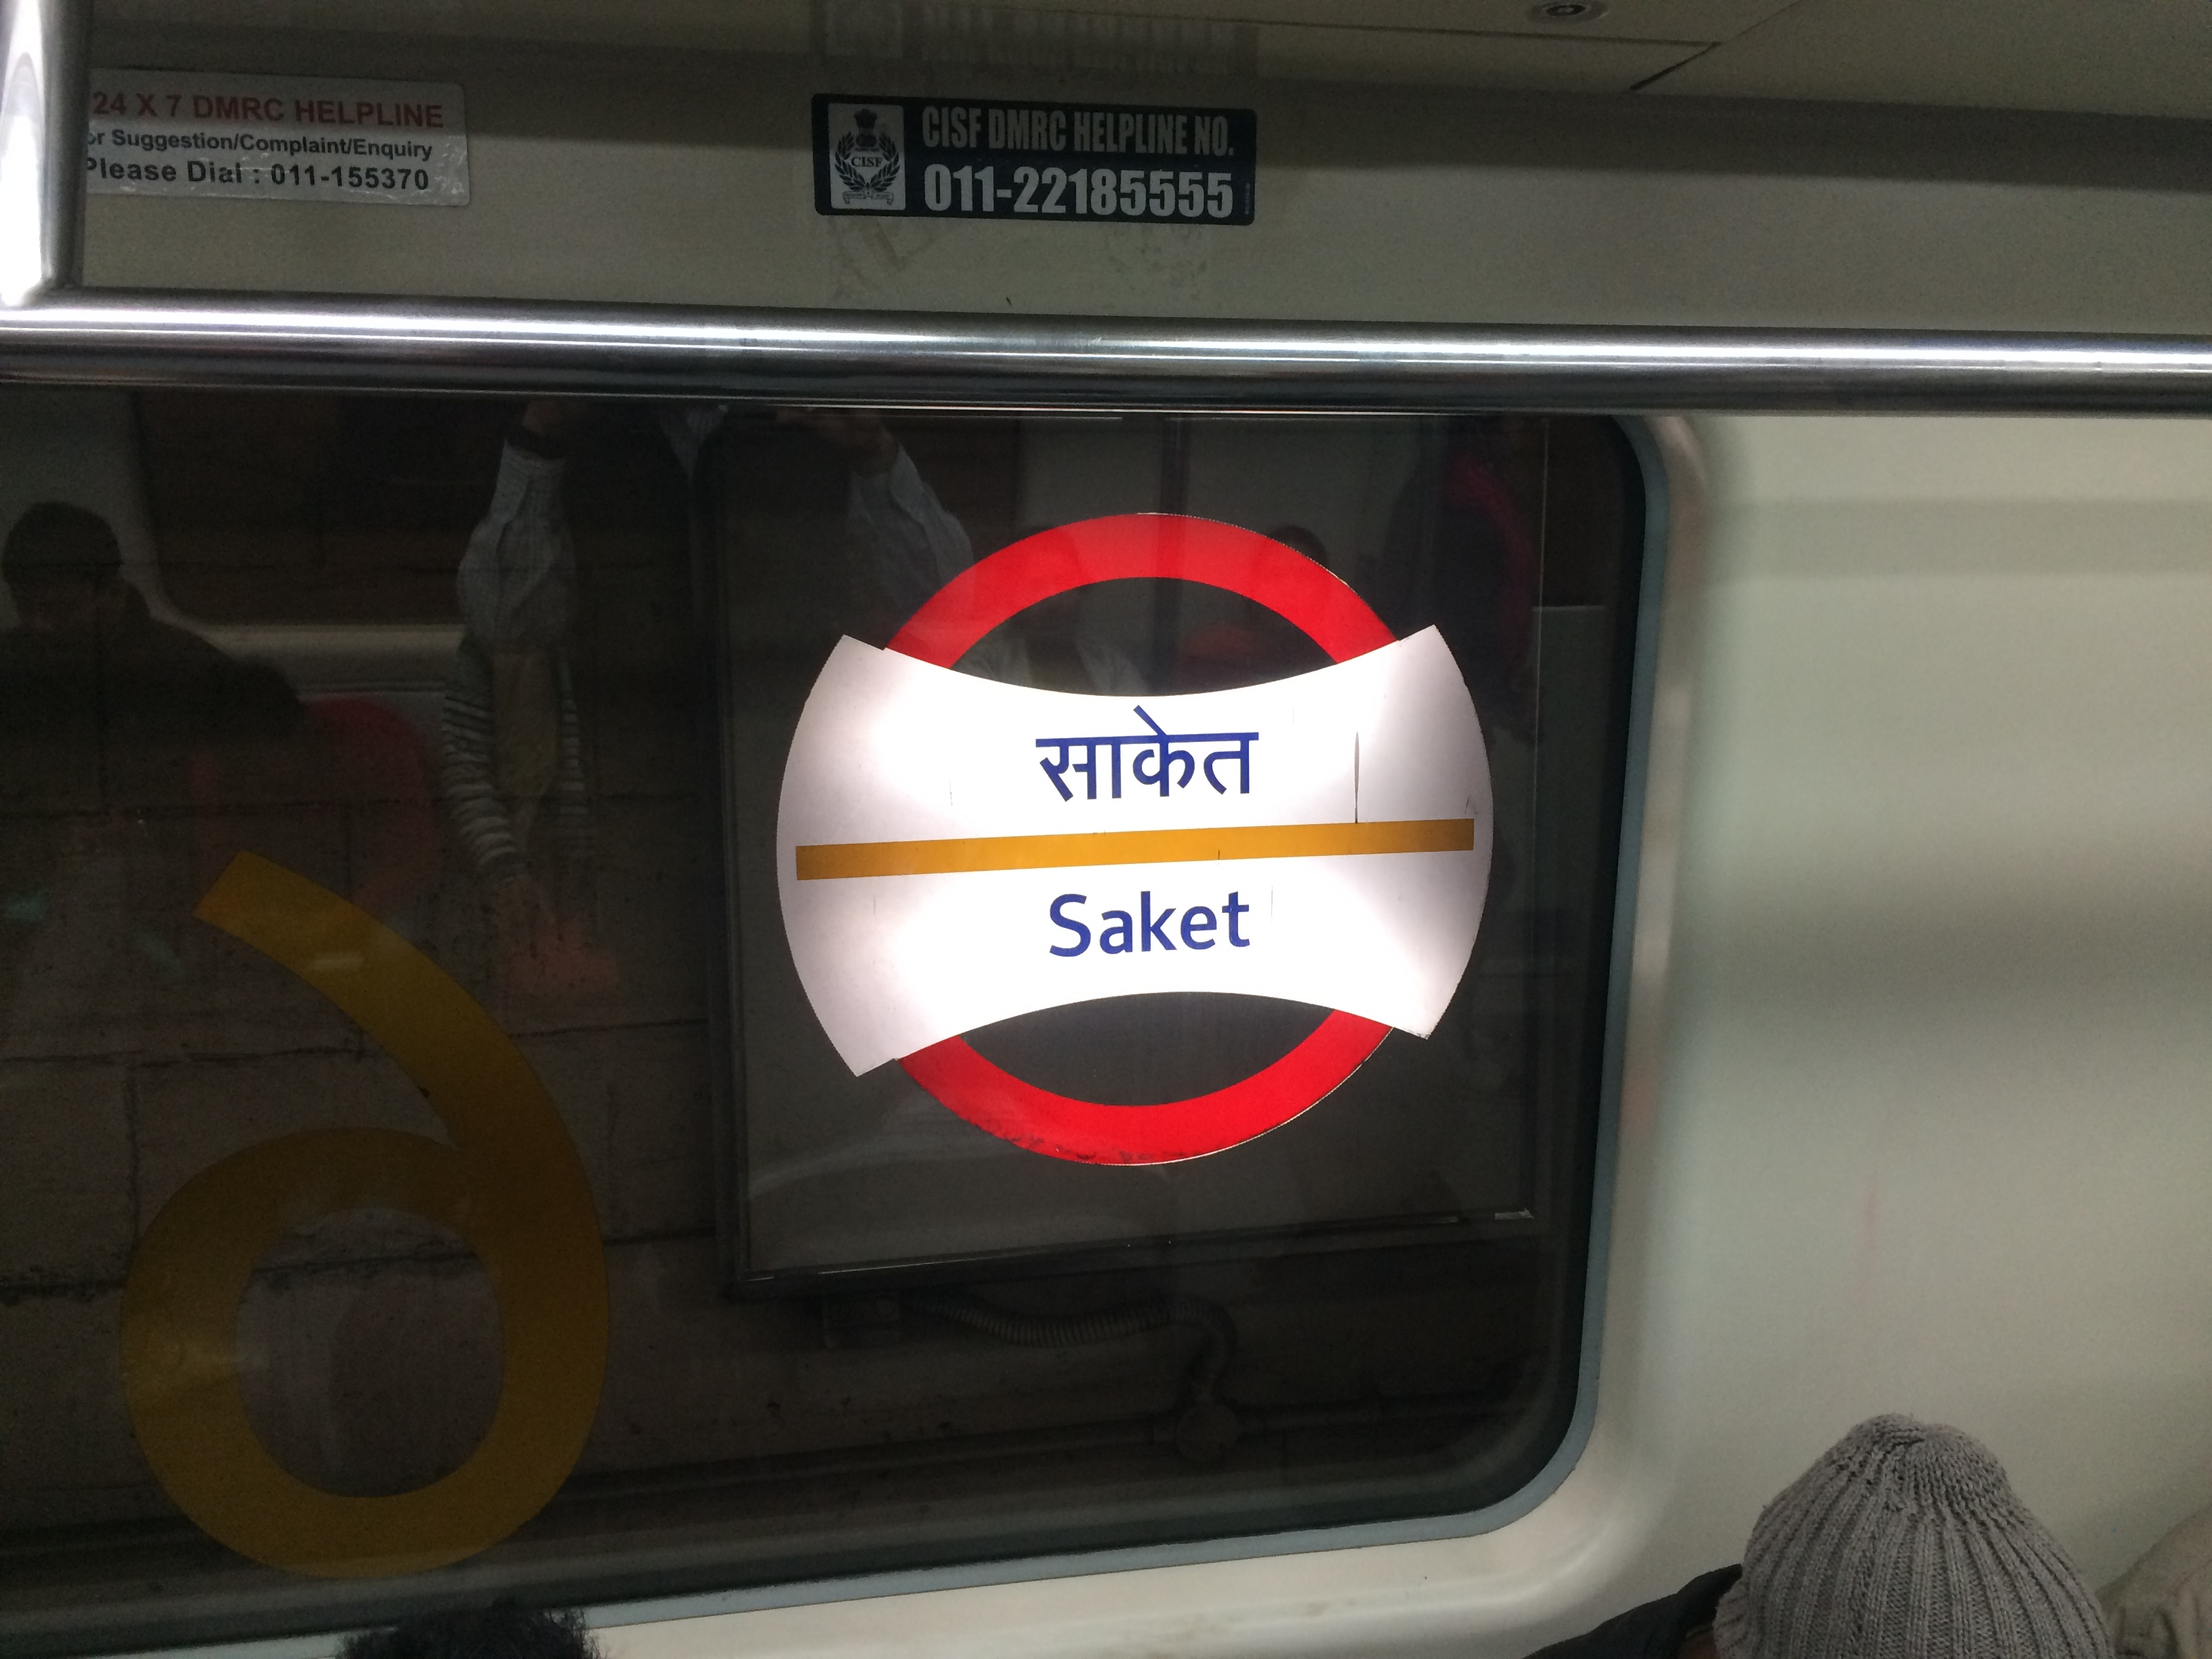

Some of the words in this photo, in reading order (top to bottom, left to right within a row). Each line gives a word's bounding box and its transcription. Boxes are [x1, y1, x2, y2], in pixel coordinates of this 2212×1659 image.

[83, 152, 180, 187] Please
[87, 81, 187, 122] 24X7
[110, 125, 237, 155] Suggestion
[184, 157, 245, 186] Dial
[192, 90, 288, 127] DMRC
[237, 129, 352, 158] Complaint
[269, 160, 431, 193] 011-155370
[289, 94, 446, 132] HELPLINE
[348, 132, 437, 166] /Enquiry
[911, 98, 985, 158] CISF
[983, 103, 1070, 159] DMRC
[912, 159, 1240, 226] 011-22185555
[1070, 106, 1194, 159] HELPLINE
[1187, 108, 1240, 160] NO.
[1033, 701, 1263, 805] साकेत
[1042, 879, 1255, 965] Saket